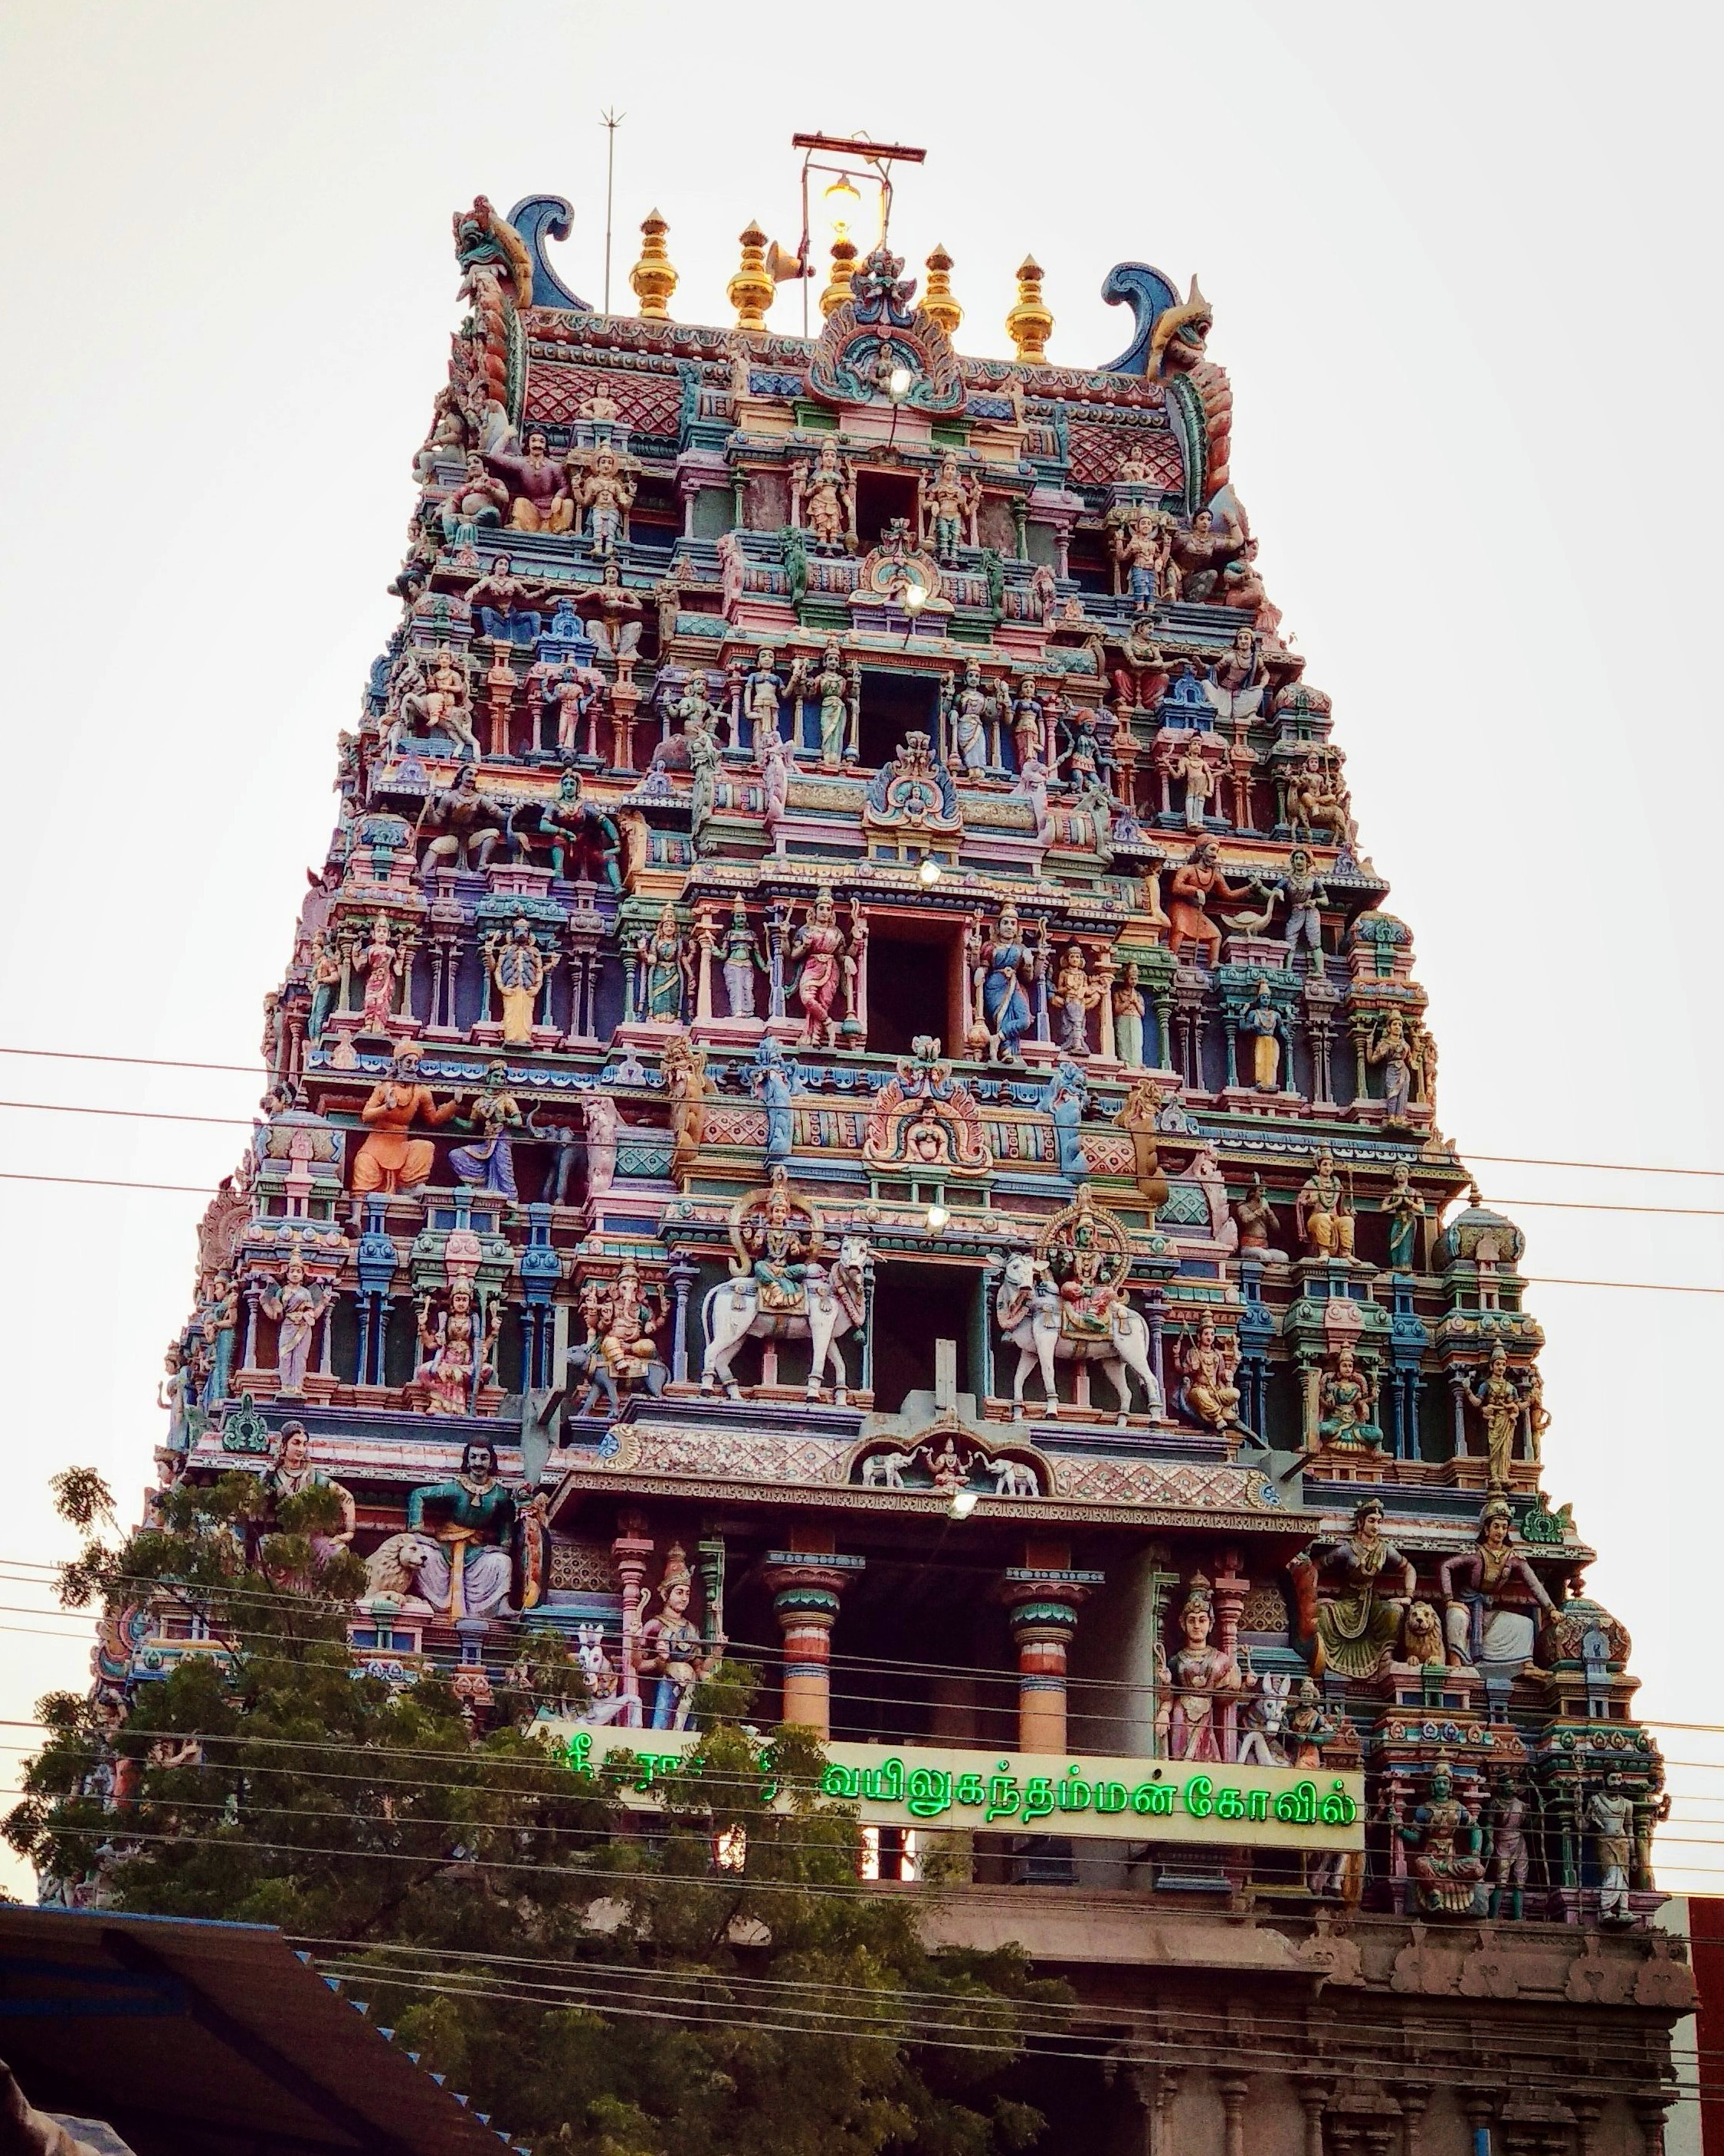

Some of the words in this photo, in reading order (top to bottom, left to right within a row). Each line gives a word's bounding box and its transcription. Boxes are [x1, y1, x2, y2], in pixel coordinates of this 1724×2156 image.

[818, 1752, 1178, 1828] வயிலுகந்தம்மன
[1182, 1774, 1362, 1832] கோவில்